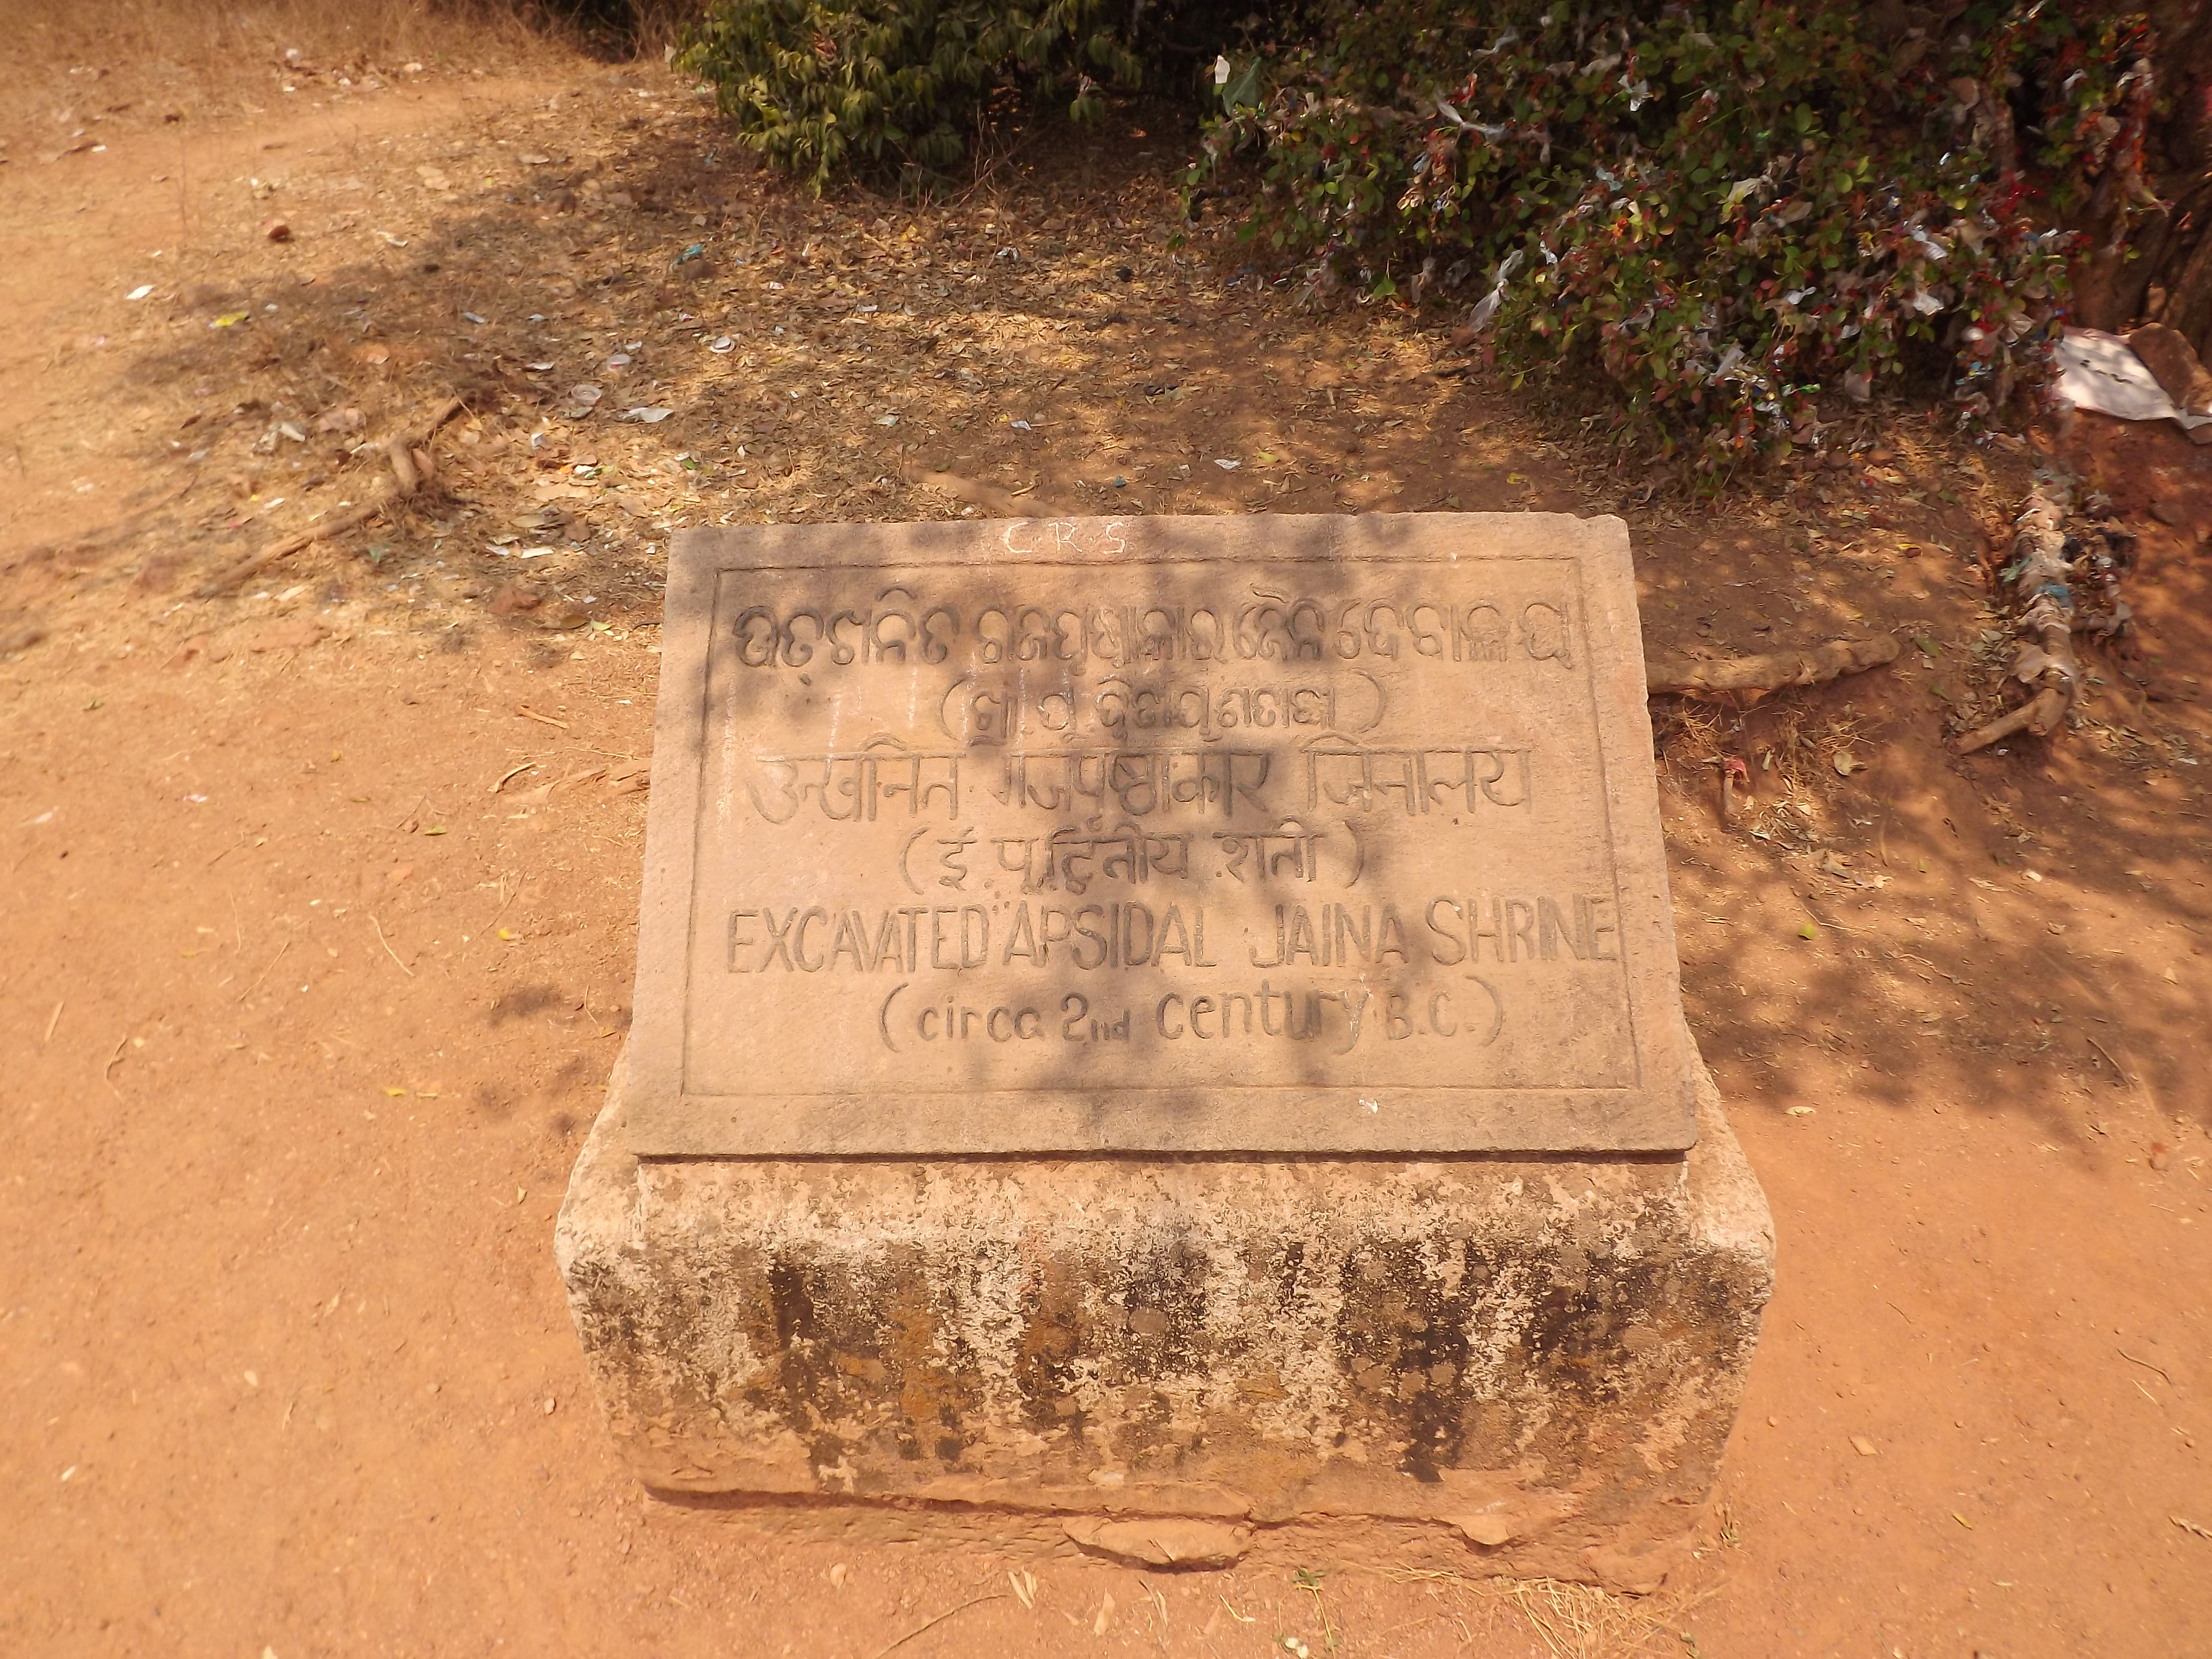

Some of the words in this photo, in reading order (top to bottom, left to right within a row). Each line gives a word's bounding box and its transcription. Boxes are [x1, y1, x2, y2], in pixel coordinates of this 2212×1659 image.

[1224, 576, 1579, 672] ଜୈନ ଦେବାଳୟ
[1090, 671, 1345, 746] ଦ୍ୱିତୀଯ ଶତାବ୍ଦୀ
[742, 727, 969, 831] उन्खनित
[982, 742, 1281, 836] गजपृष्ठाकार
[1289, 727, 1540, 818] जिनालय
[931, 820, 1051, 899] ई.पू.
[1035, 816, 1194, 899] द्वितीय
[1209, 805, 1332, 887] शती
[719, 902, 996, 977] EXCAVATED
[998, 896, 1217, 972] APSIDAL
[1244, 895, 1416, 974] JAINA
[1421, 890, 1619, 971] SHRINE
[907, 989, 1055, 1048] circa
[1052, 985, 1134, 1047] 2nd
[1150, 973, 1378, 1061] century
[1380, 975, 1479, 1048] B.C.